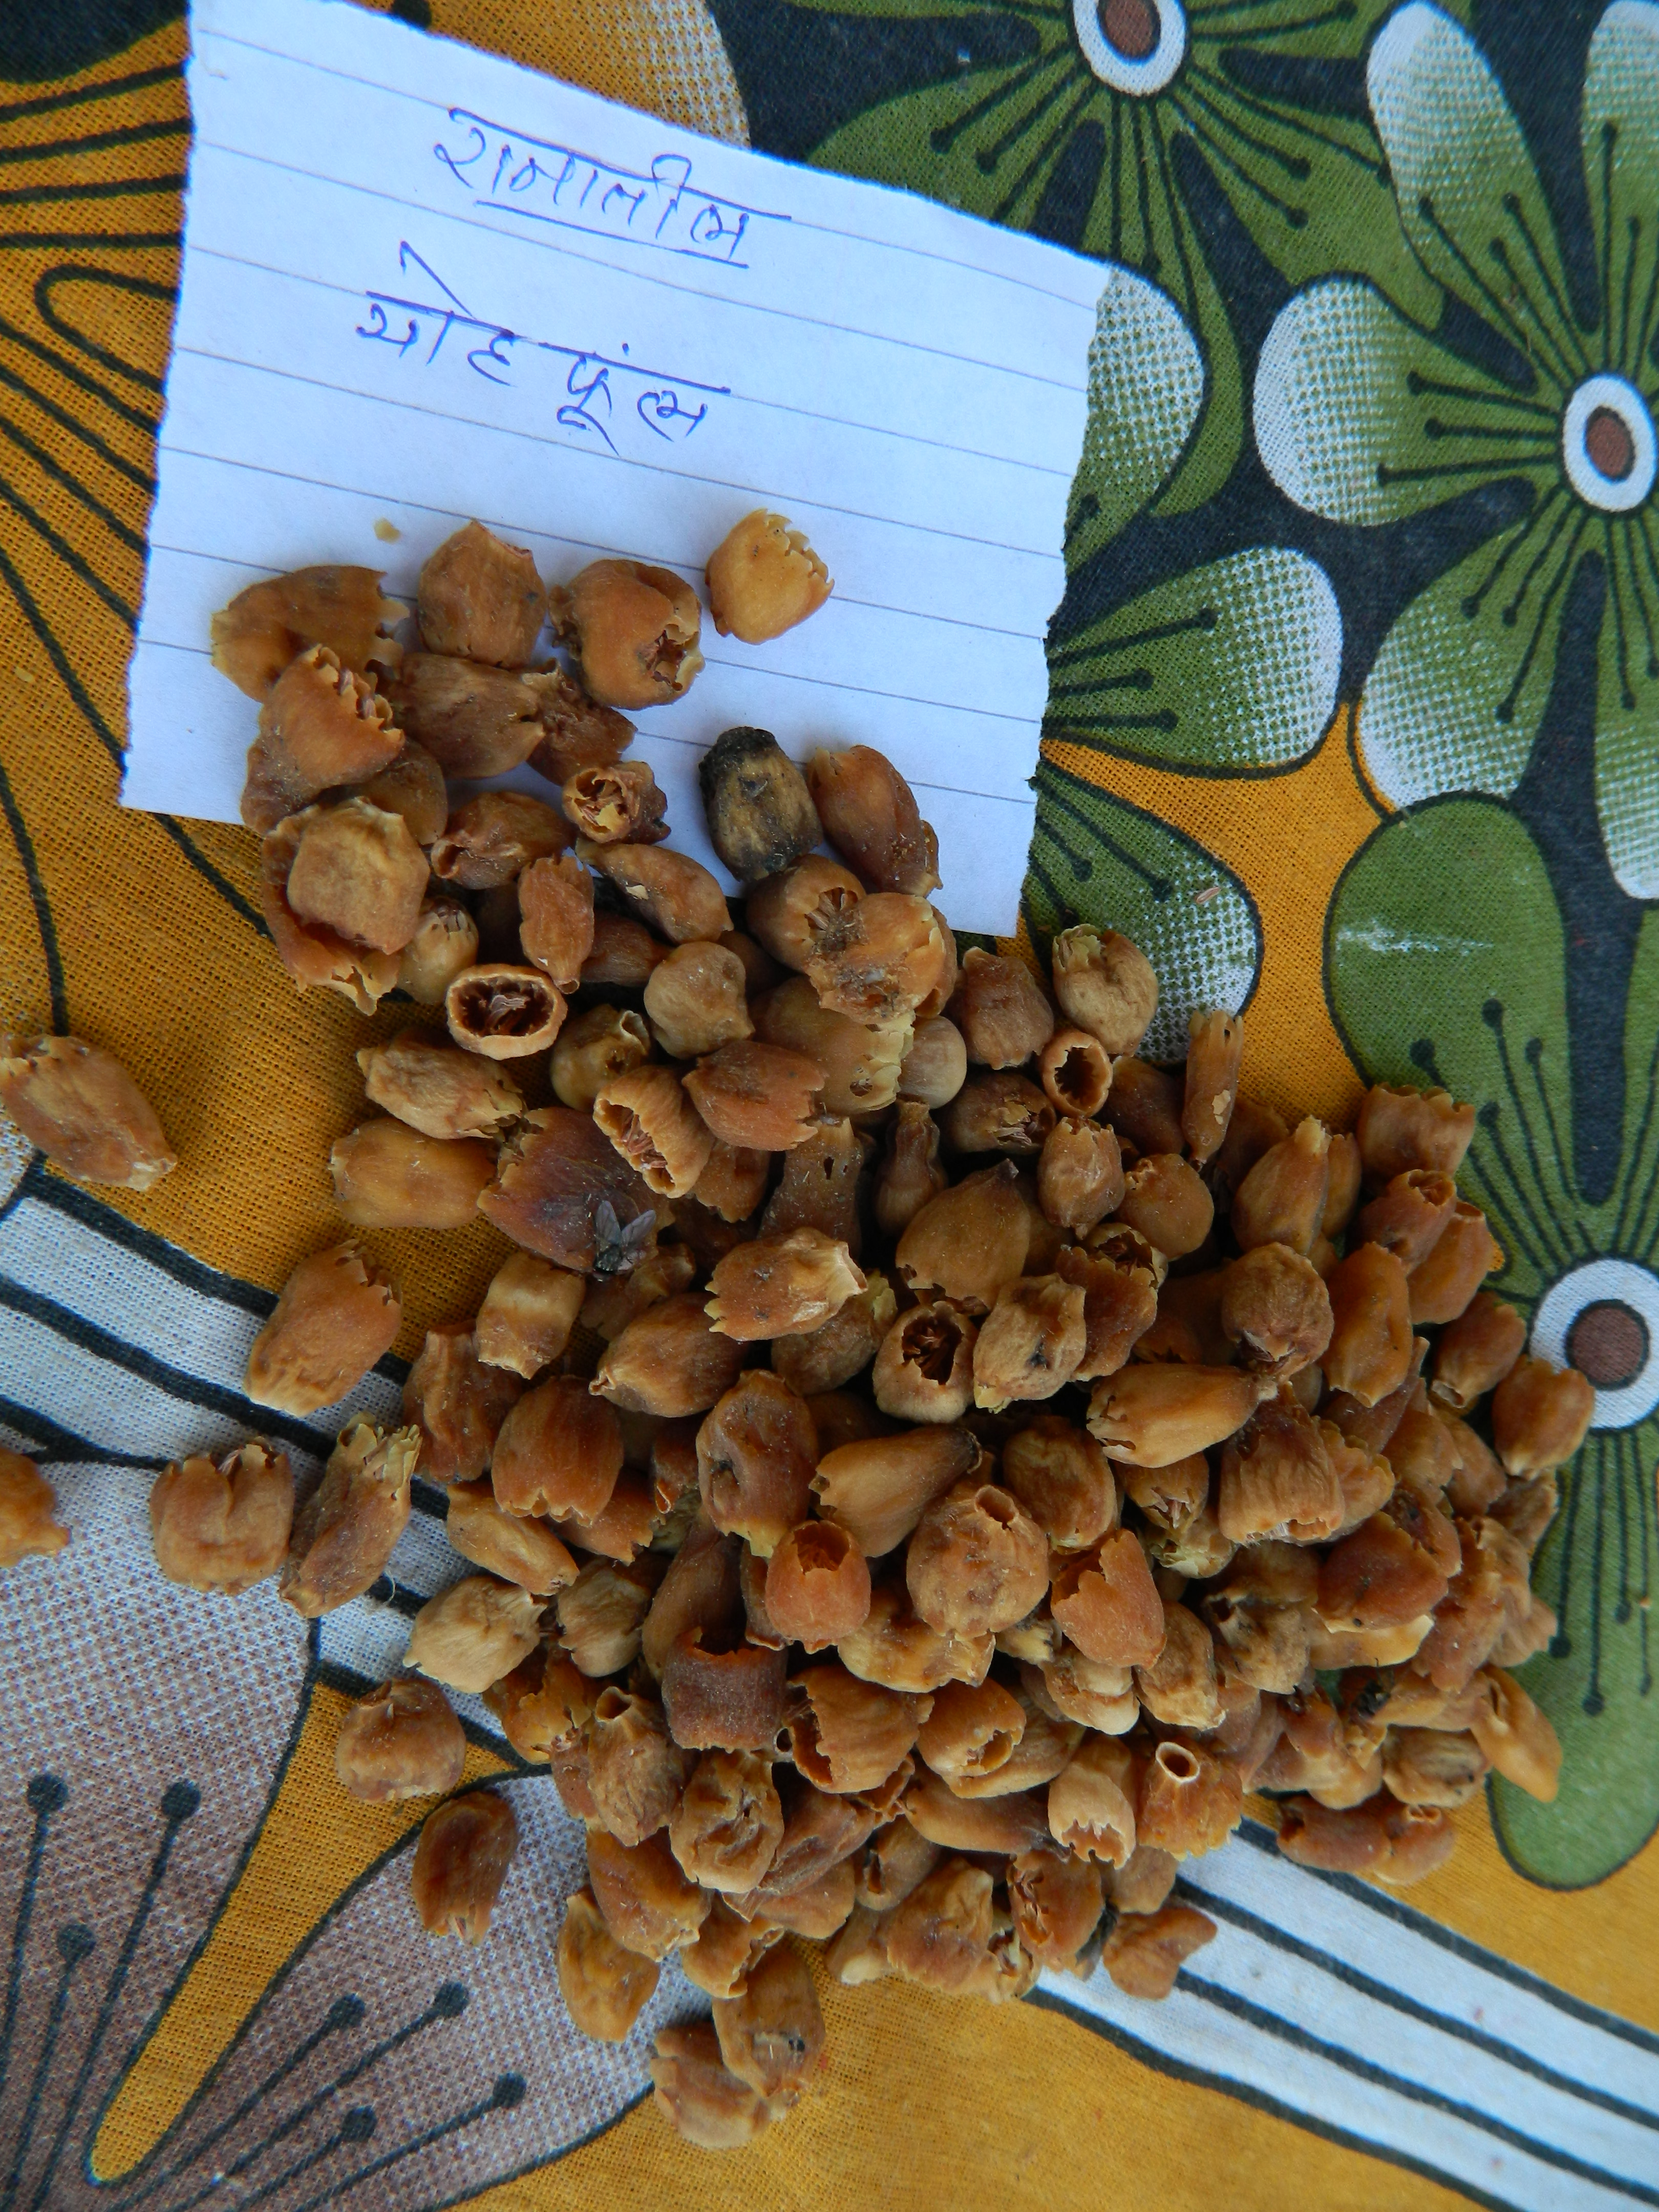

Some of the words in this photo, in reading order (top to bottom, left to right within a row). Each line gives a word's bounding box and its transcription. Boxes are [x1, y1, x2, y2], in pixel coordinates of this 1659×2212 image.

[409, 85, 803, 263] रानातील
[333, 226, 538, 400] योह
[534, 331, 749, 464] फूंल